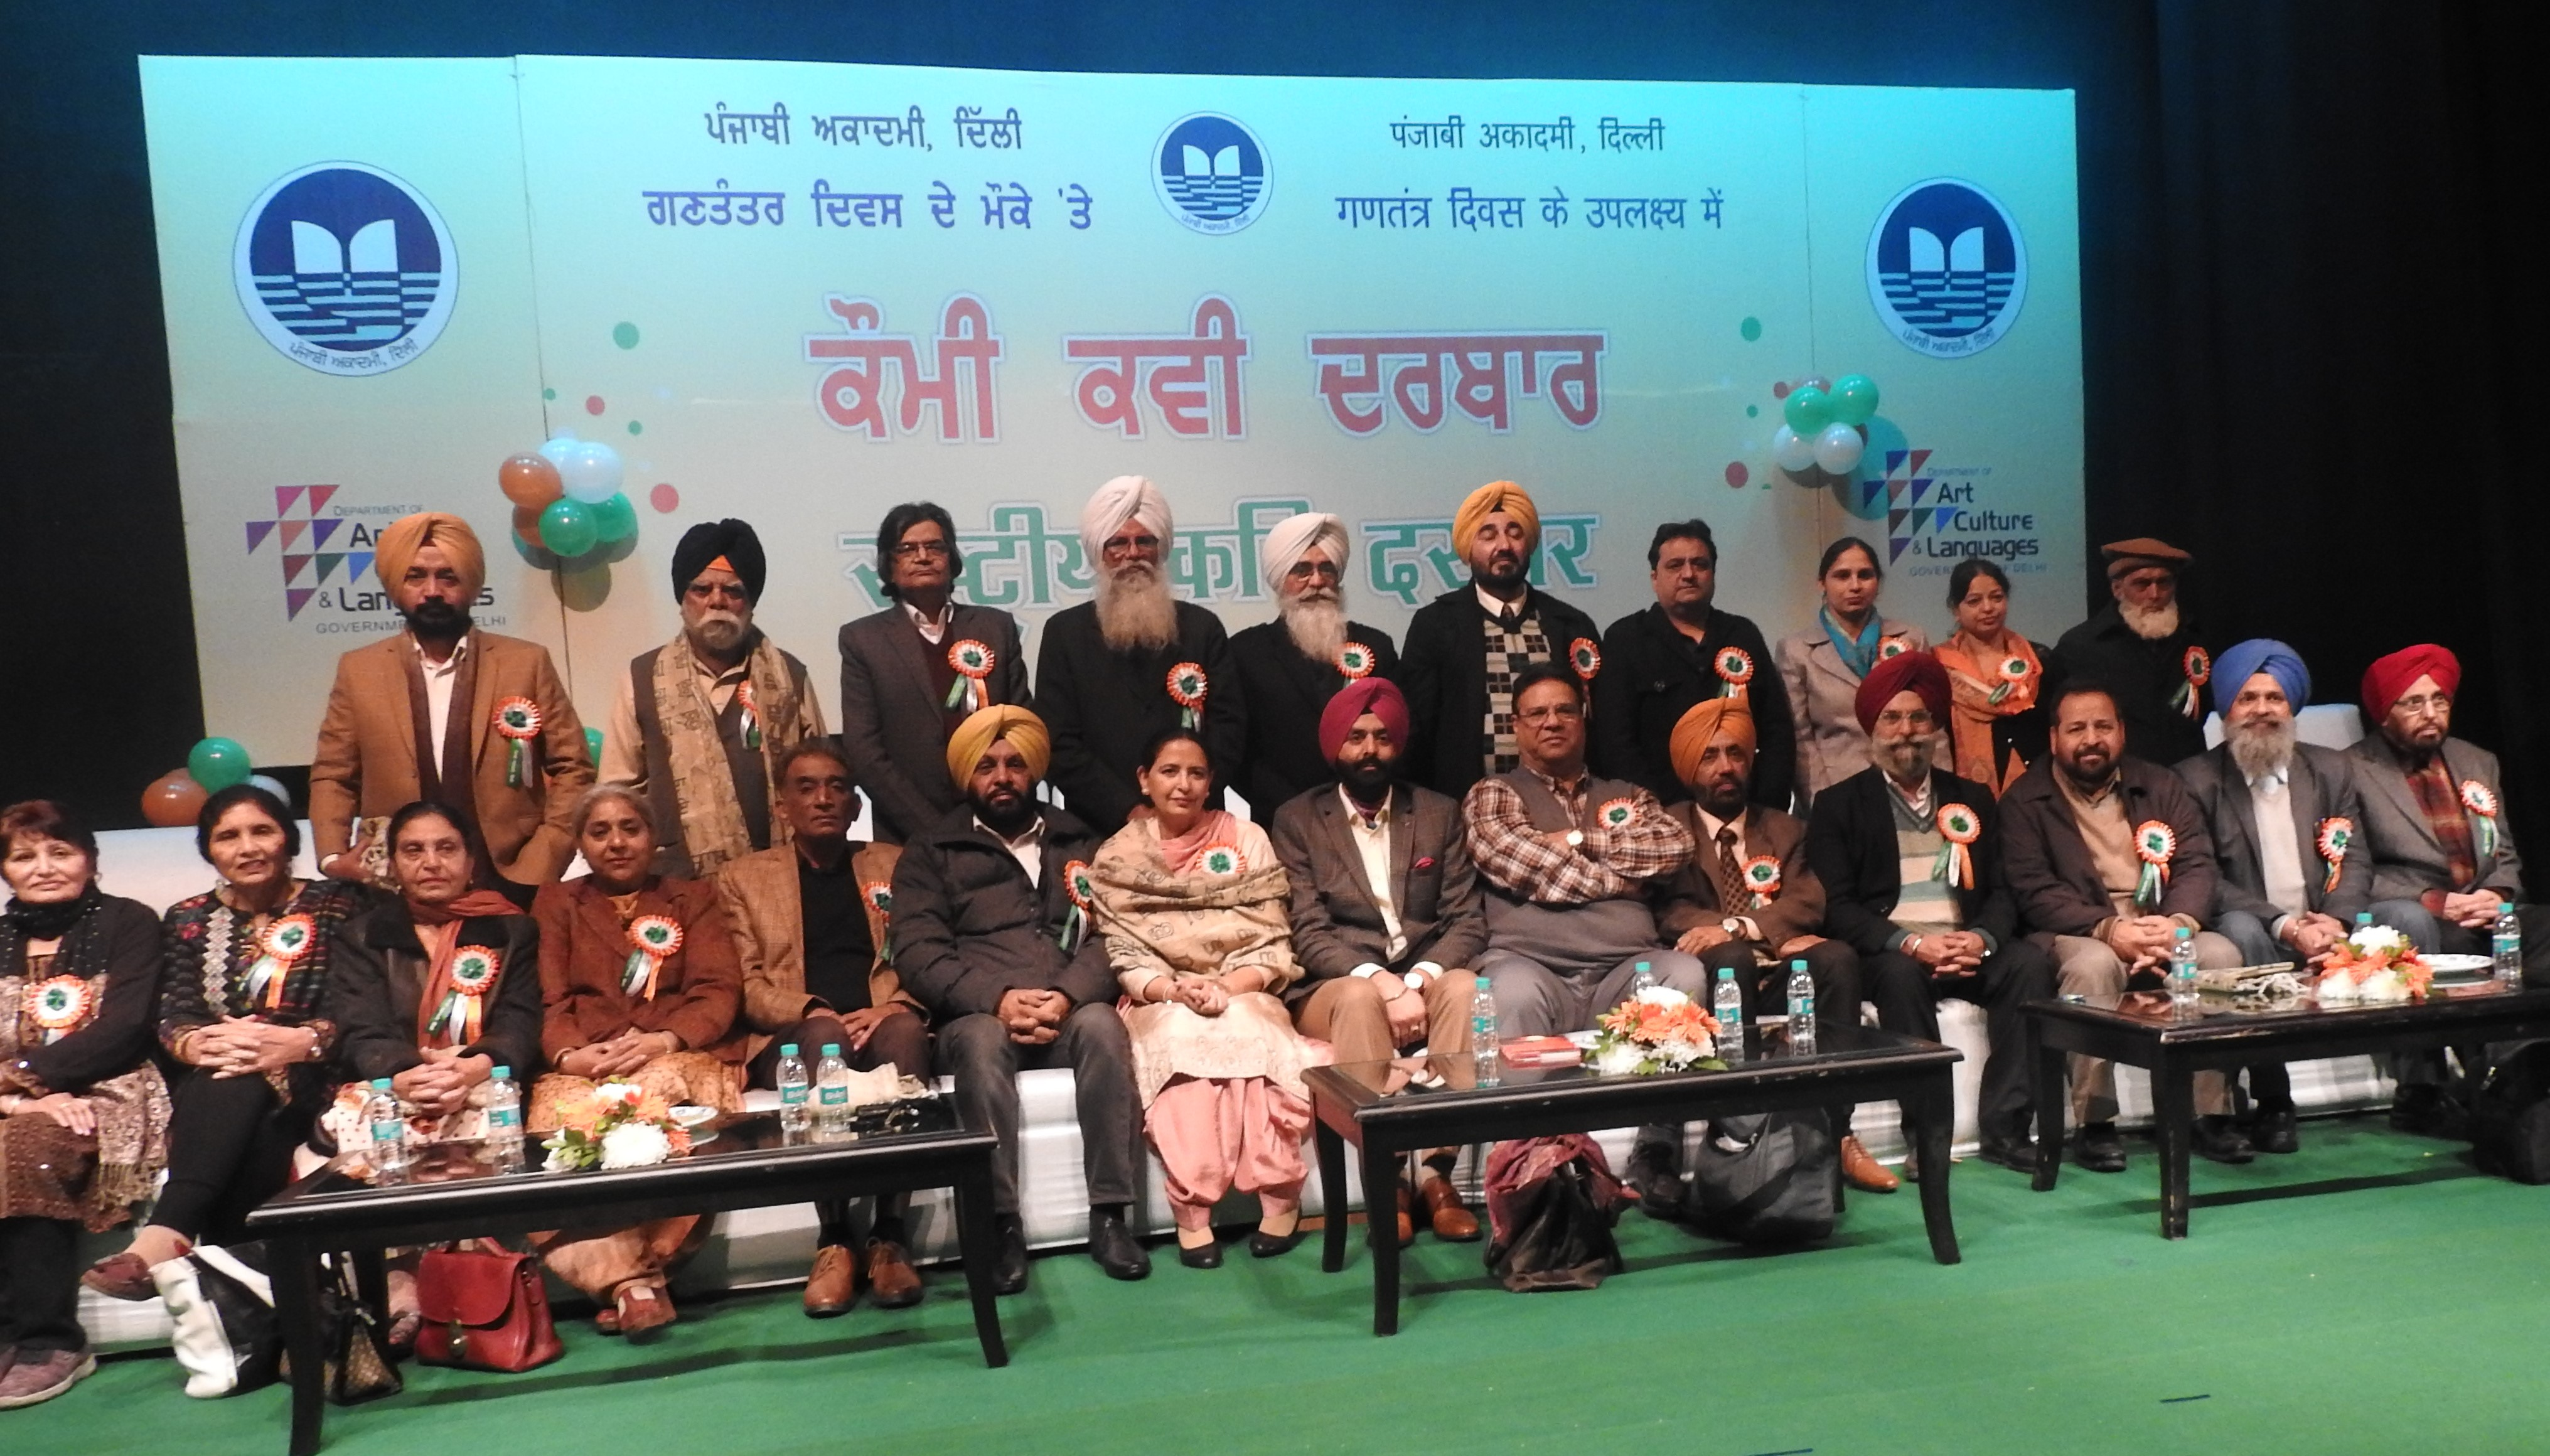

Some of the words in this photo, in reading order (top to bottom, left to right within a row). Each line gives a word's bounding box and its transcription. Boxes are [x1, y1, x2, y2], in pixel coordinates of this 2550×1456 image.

[696, 91, 799, 154] ਪੰਜਾਬੀ
[804, 102, 931, 160] ਅਕਾਦਮੀ
[948, 100, 1031, 158] ਦਿੱਈ
[1384, 111, 1467, 156] पंजाबी
[1473, 113, 1580, 156] अकादमी
[1594, 109, 1669, 158] दिल्ली
[633, 166, 795, 240] ਗਣਤੰਤਰ
[803, 174, 911, 238] ਦਿਵਸ
[920, 173, 962, 233] ਦੇ
[973, 179, 1037, 237] ਮੌਕੇ
[1054, 174, 1104, 237] ਤੇ
[1329, 181, 1438, 233] गणतंत्र
[1444, 183, 1534, 235] दिवस
[1533, 179, 1577, 237] के
[1578, 193, 1689, 233] उपलक्ष्य
[1696, 183, 1730, 235] में
[795, 276, 1024, 466] ਕੌਮੀ
[1056, 293, 1260, 449] ਕਵੀ
[1292, 319, 1624, 442] ਦਰਬਾਰ
[1929, 479, 1980, 505] Art
[1922, 534, 2044, 562] Languages
[1950, 506, 2040, 534] Culture